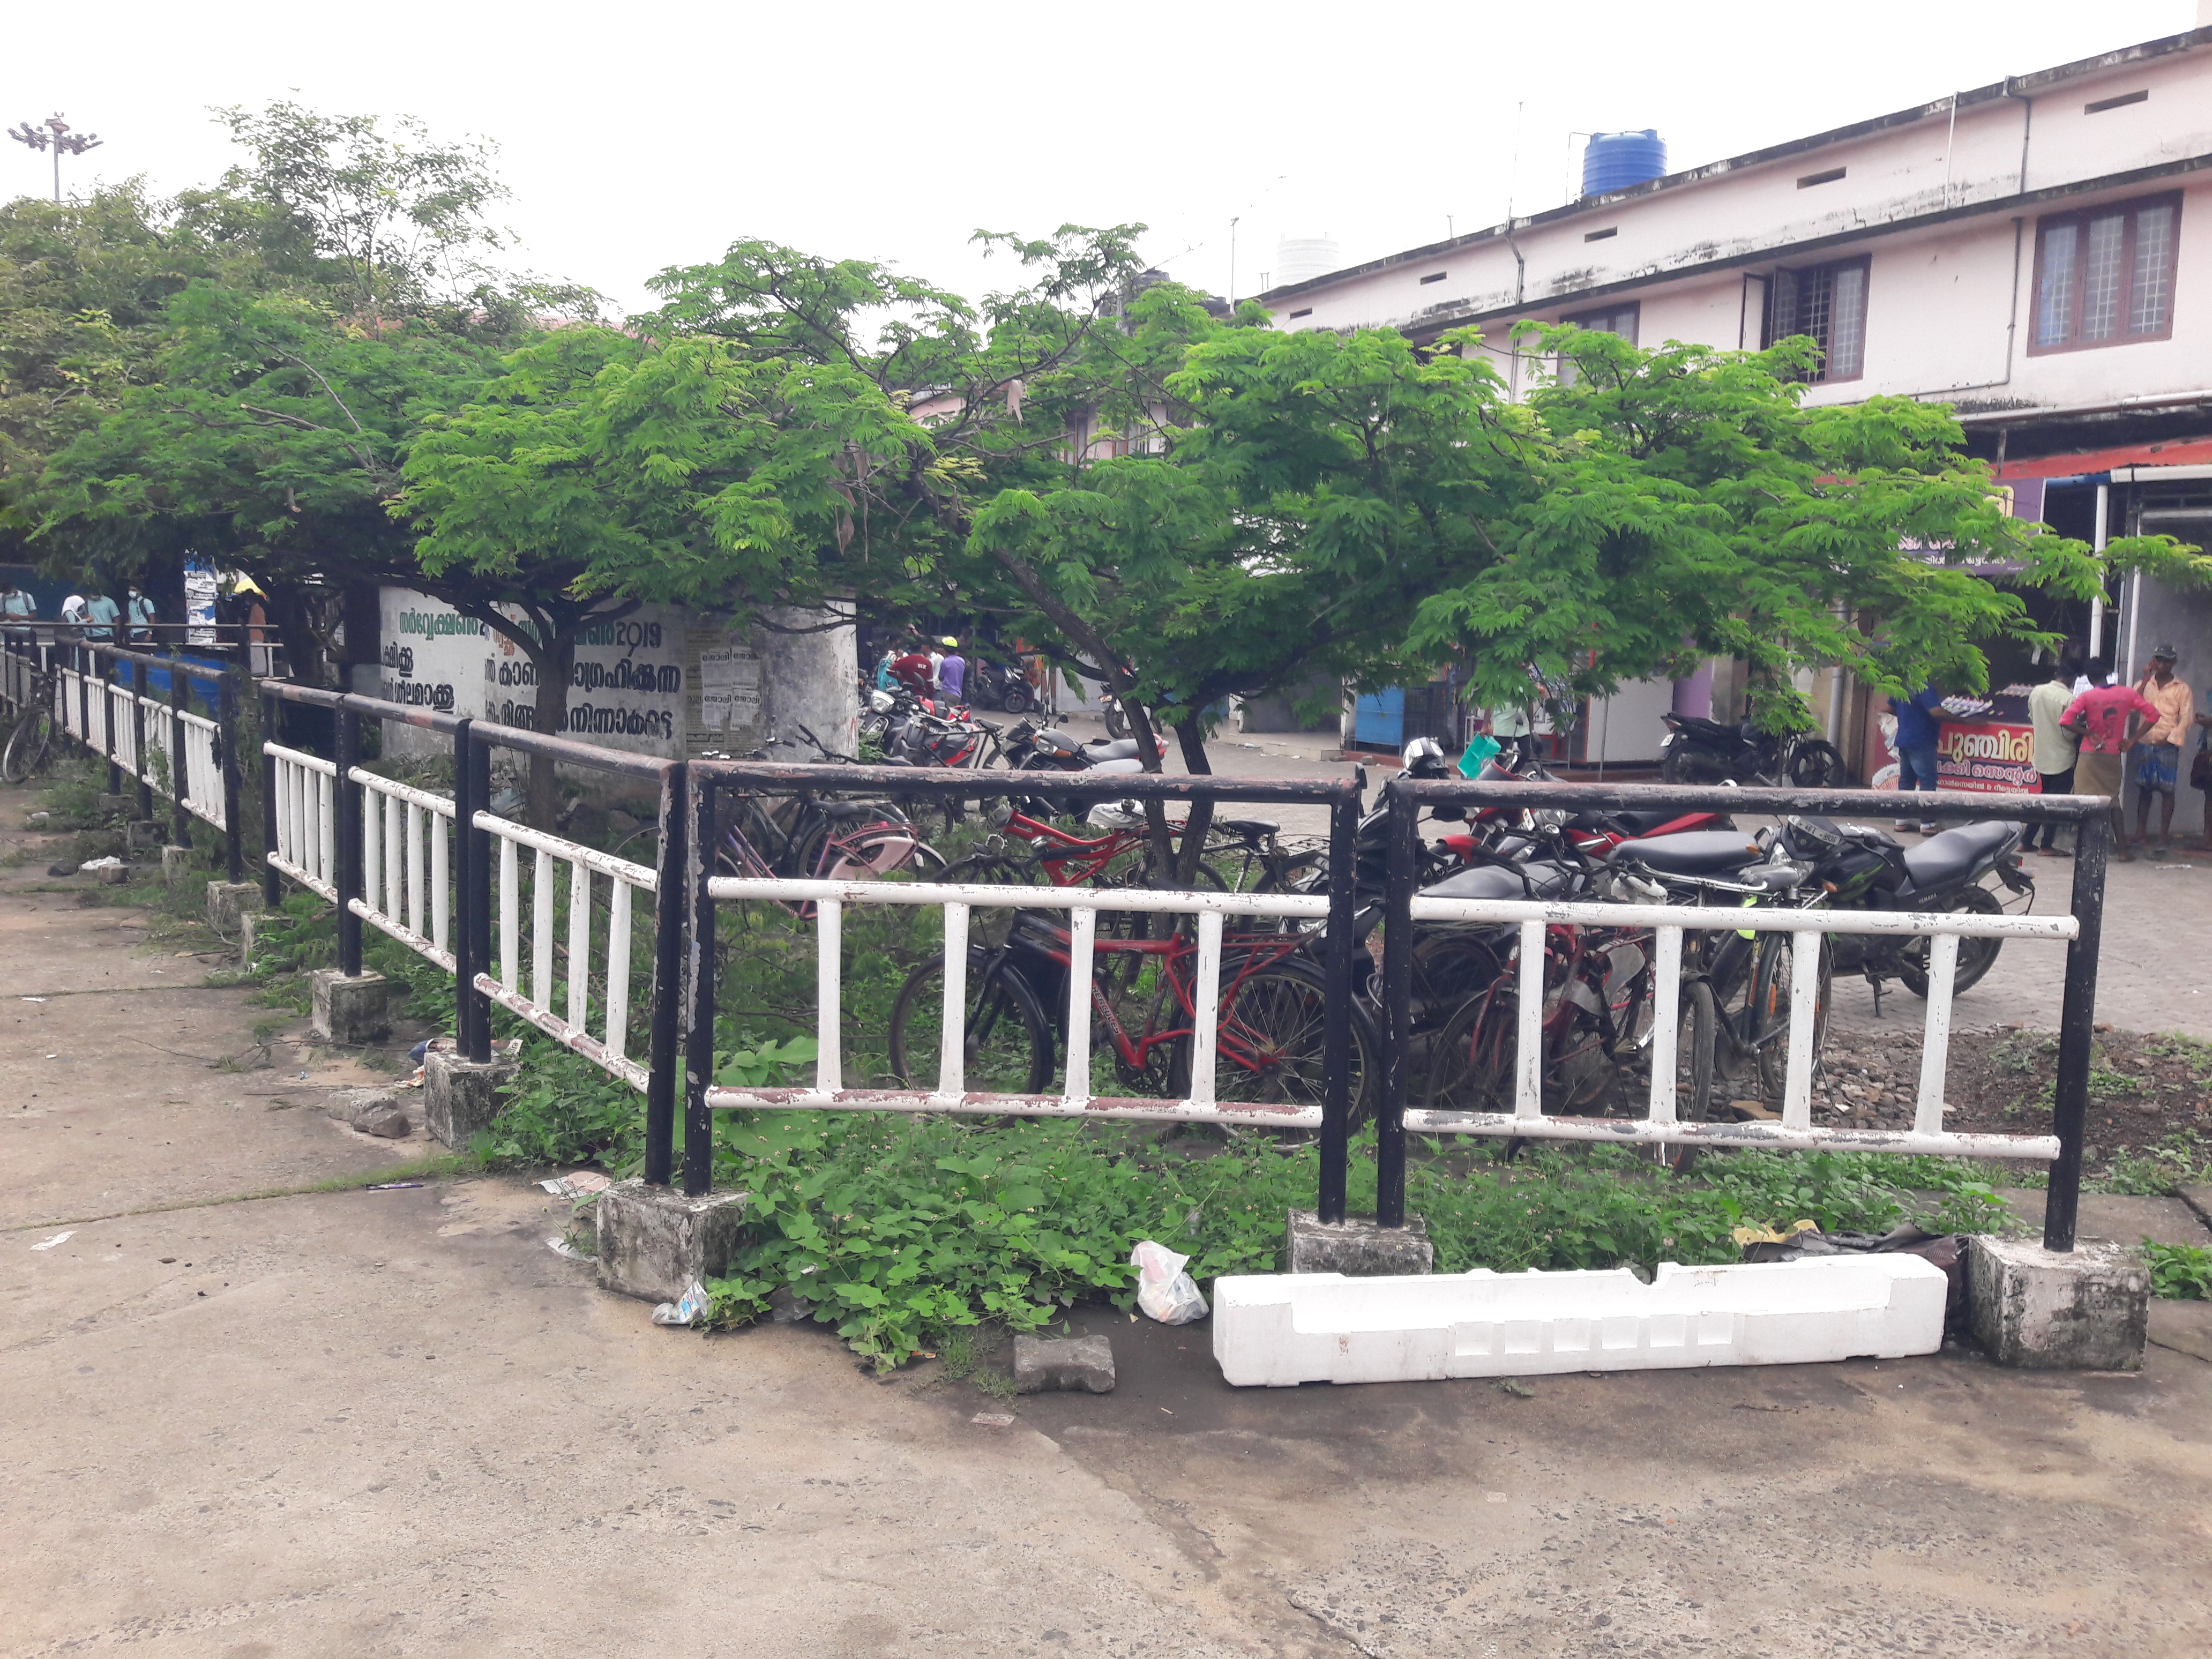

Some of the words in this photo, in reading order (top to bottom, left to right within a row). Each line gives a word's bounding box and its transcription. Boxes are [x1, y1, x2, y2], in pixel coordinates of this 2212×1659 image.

[393, 603, 494, 646] സർവ്വേക്ഷണം
[377, 638, 417, 683] ക്ഷിക്കു
[382, 672, 457, 714] ൾശീലമാക്ക
[496, 690, 674, 744] നിത്ഭ നിന്നാകട്ടെ
[496, 652, 683, 696] കാണാഗ്രഹിക്കുന്ന
[700, 692, 735, 708] ജോലി
[731, 690, 761, 707] ജോലി
[1934, 726, 2035, 767] പുഞ്ചിരി
[1934, 755, 1974, 780] ക്കി
[1932, 778, 1987, 793] ഹാൾസെയിൽ
[1981, 782, 1994, 793] 6
[1968, 763, 2039, 788] സെന്റർ